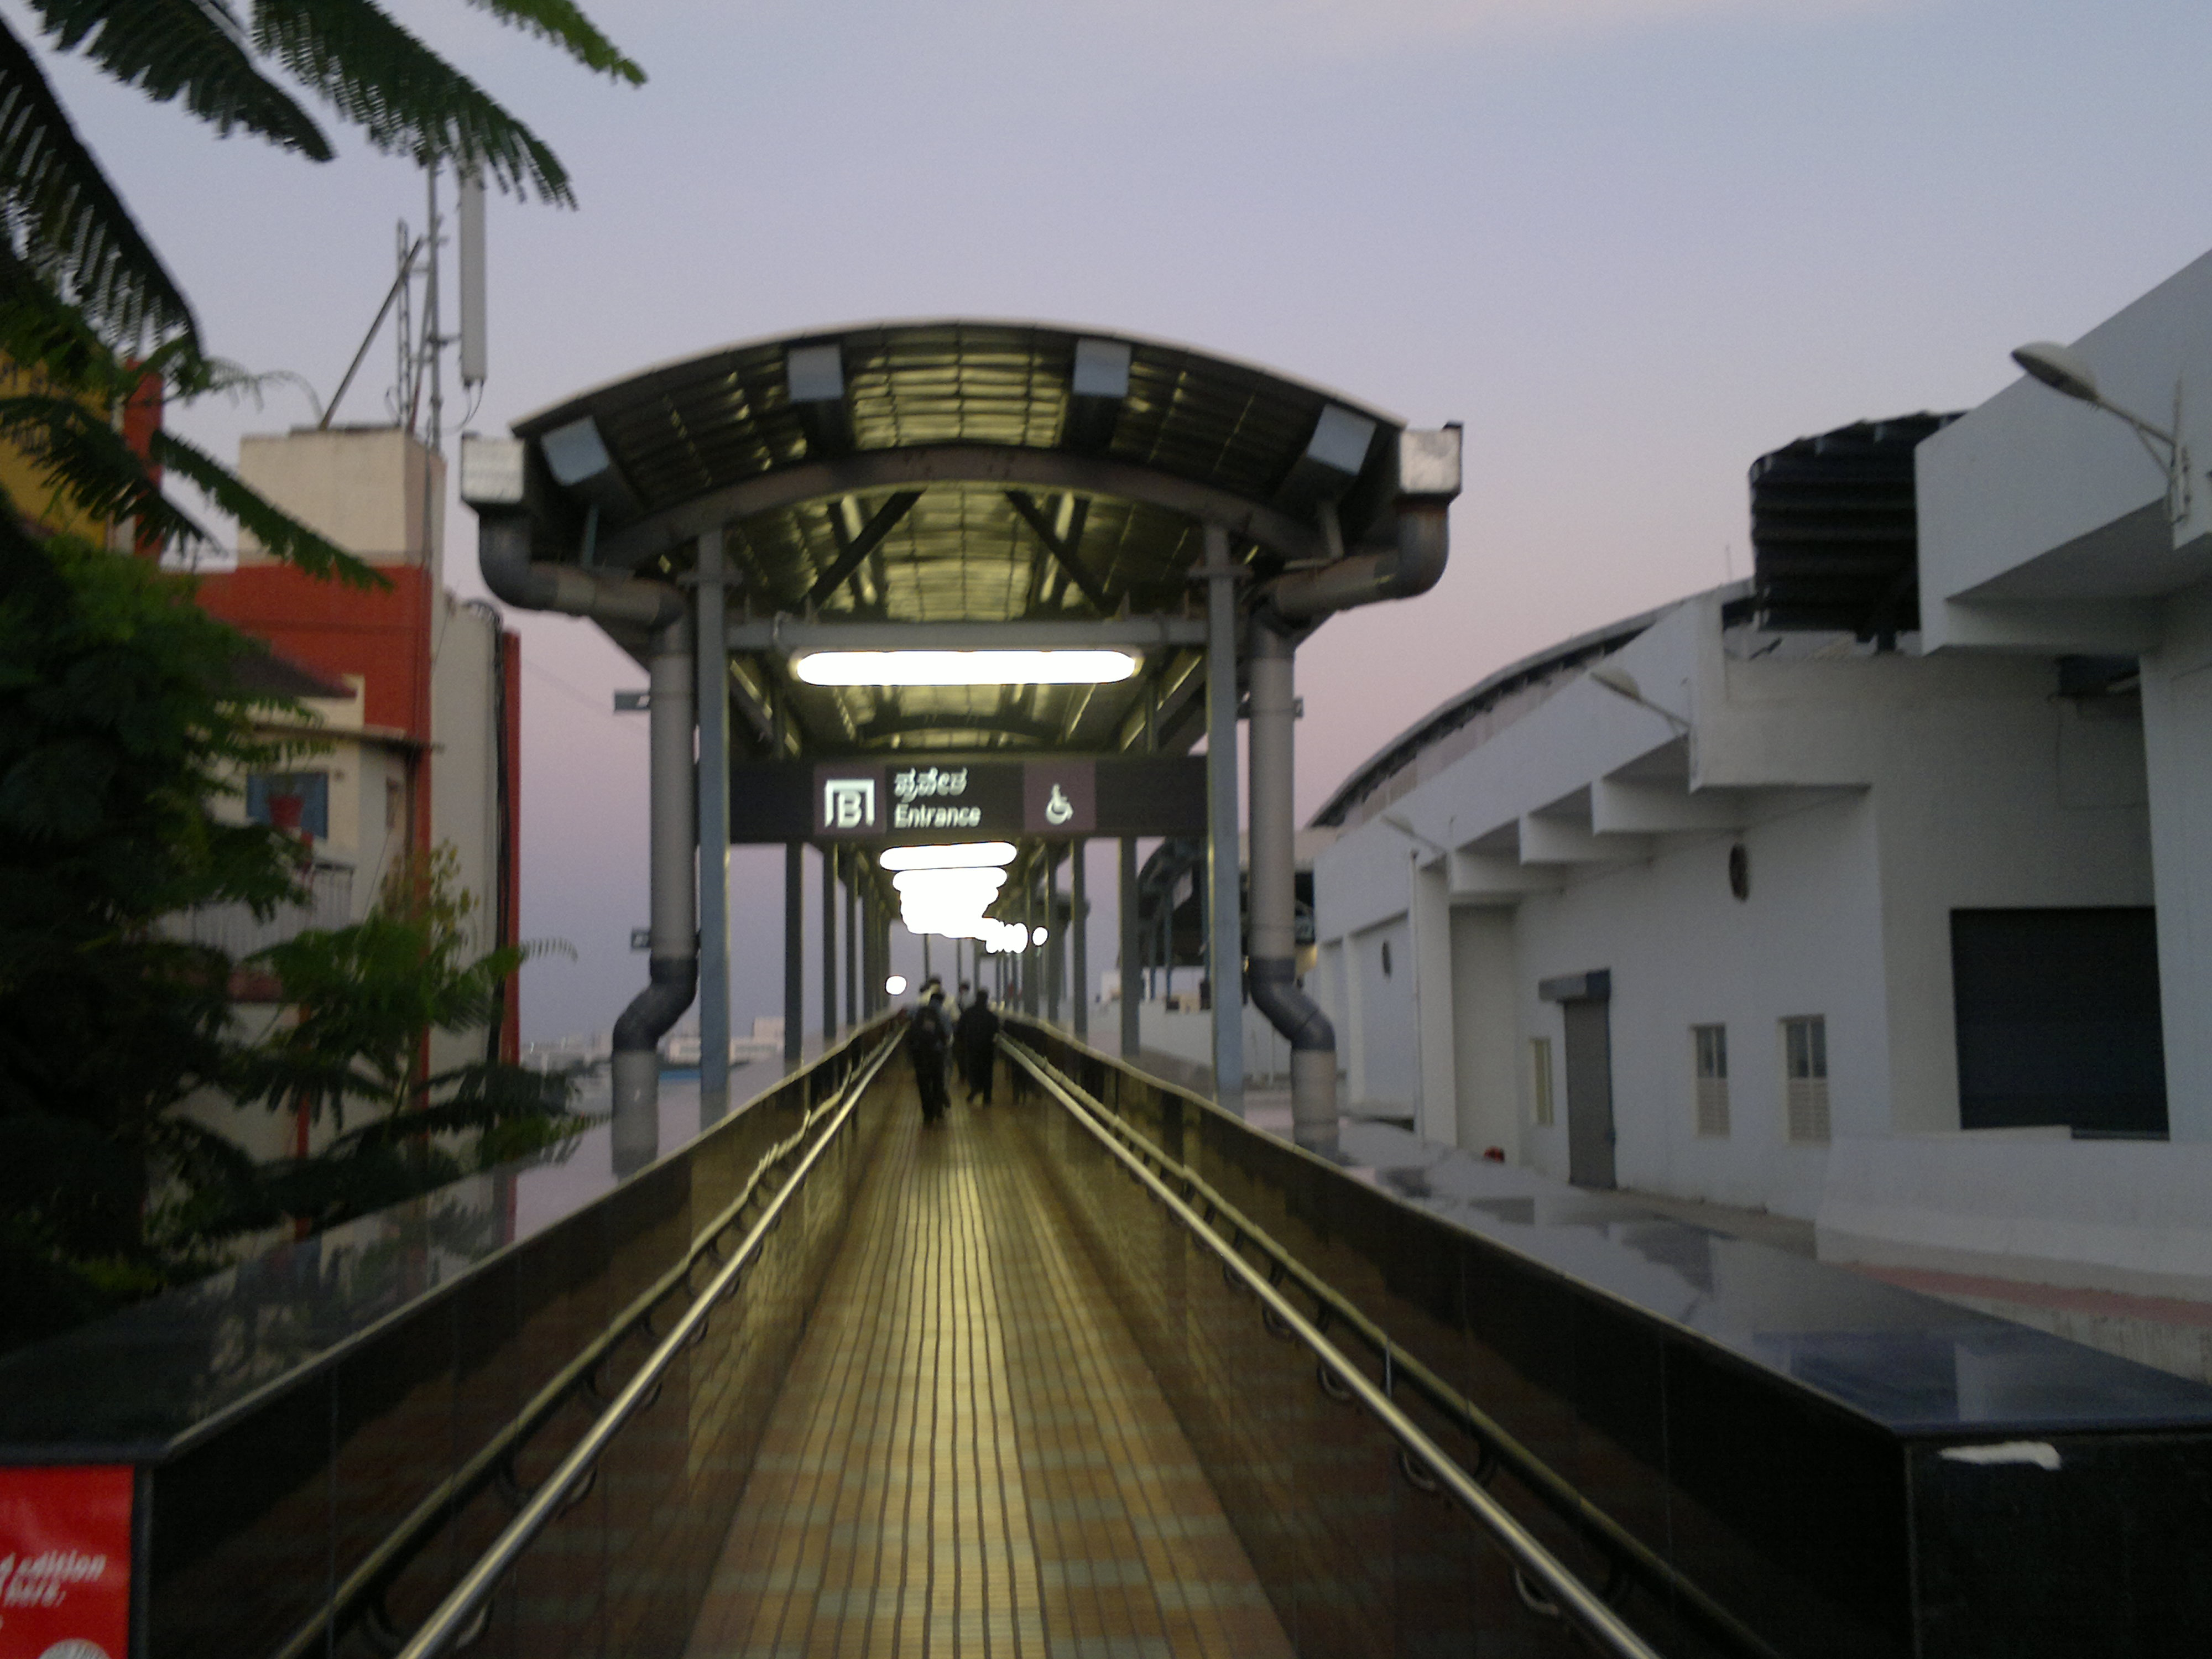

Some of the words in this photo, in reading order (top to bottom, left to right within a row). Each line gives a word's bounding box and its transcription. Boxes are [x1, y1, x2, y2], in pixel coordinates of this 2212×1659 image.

[891, 761, 971, 808] ಪ್ರಸೇತ
[889, 802, 983, 832] Entrance